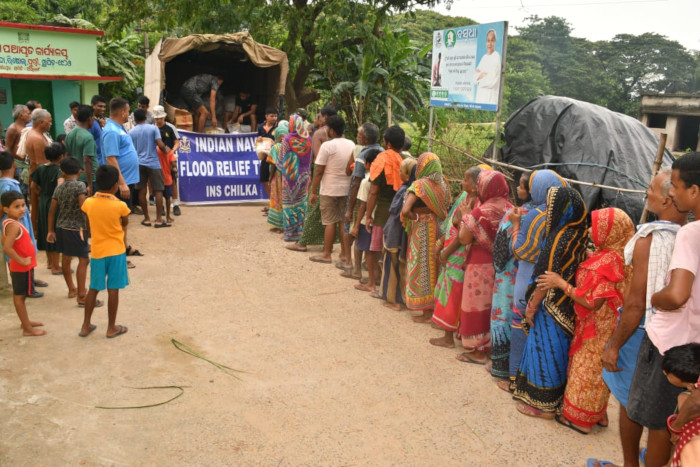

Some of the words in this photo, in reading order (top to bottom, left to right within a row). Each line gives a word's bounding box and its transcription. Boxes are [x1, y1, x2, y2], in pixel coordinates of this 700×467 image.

[189, 131, 238, 156] INDIAN
[175, 157, 217, 183] FLOOD
[211, 155, 253, 182] RELIEF
[200, 182, 224, 201] INS
[218, 180, 261, 201] CHILKA